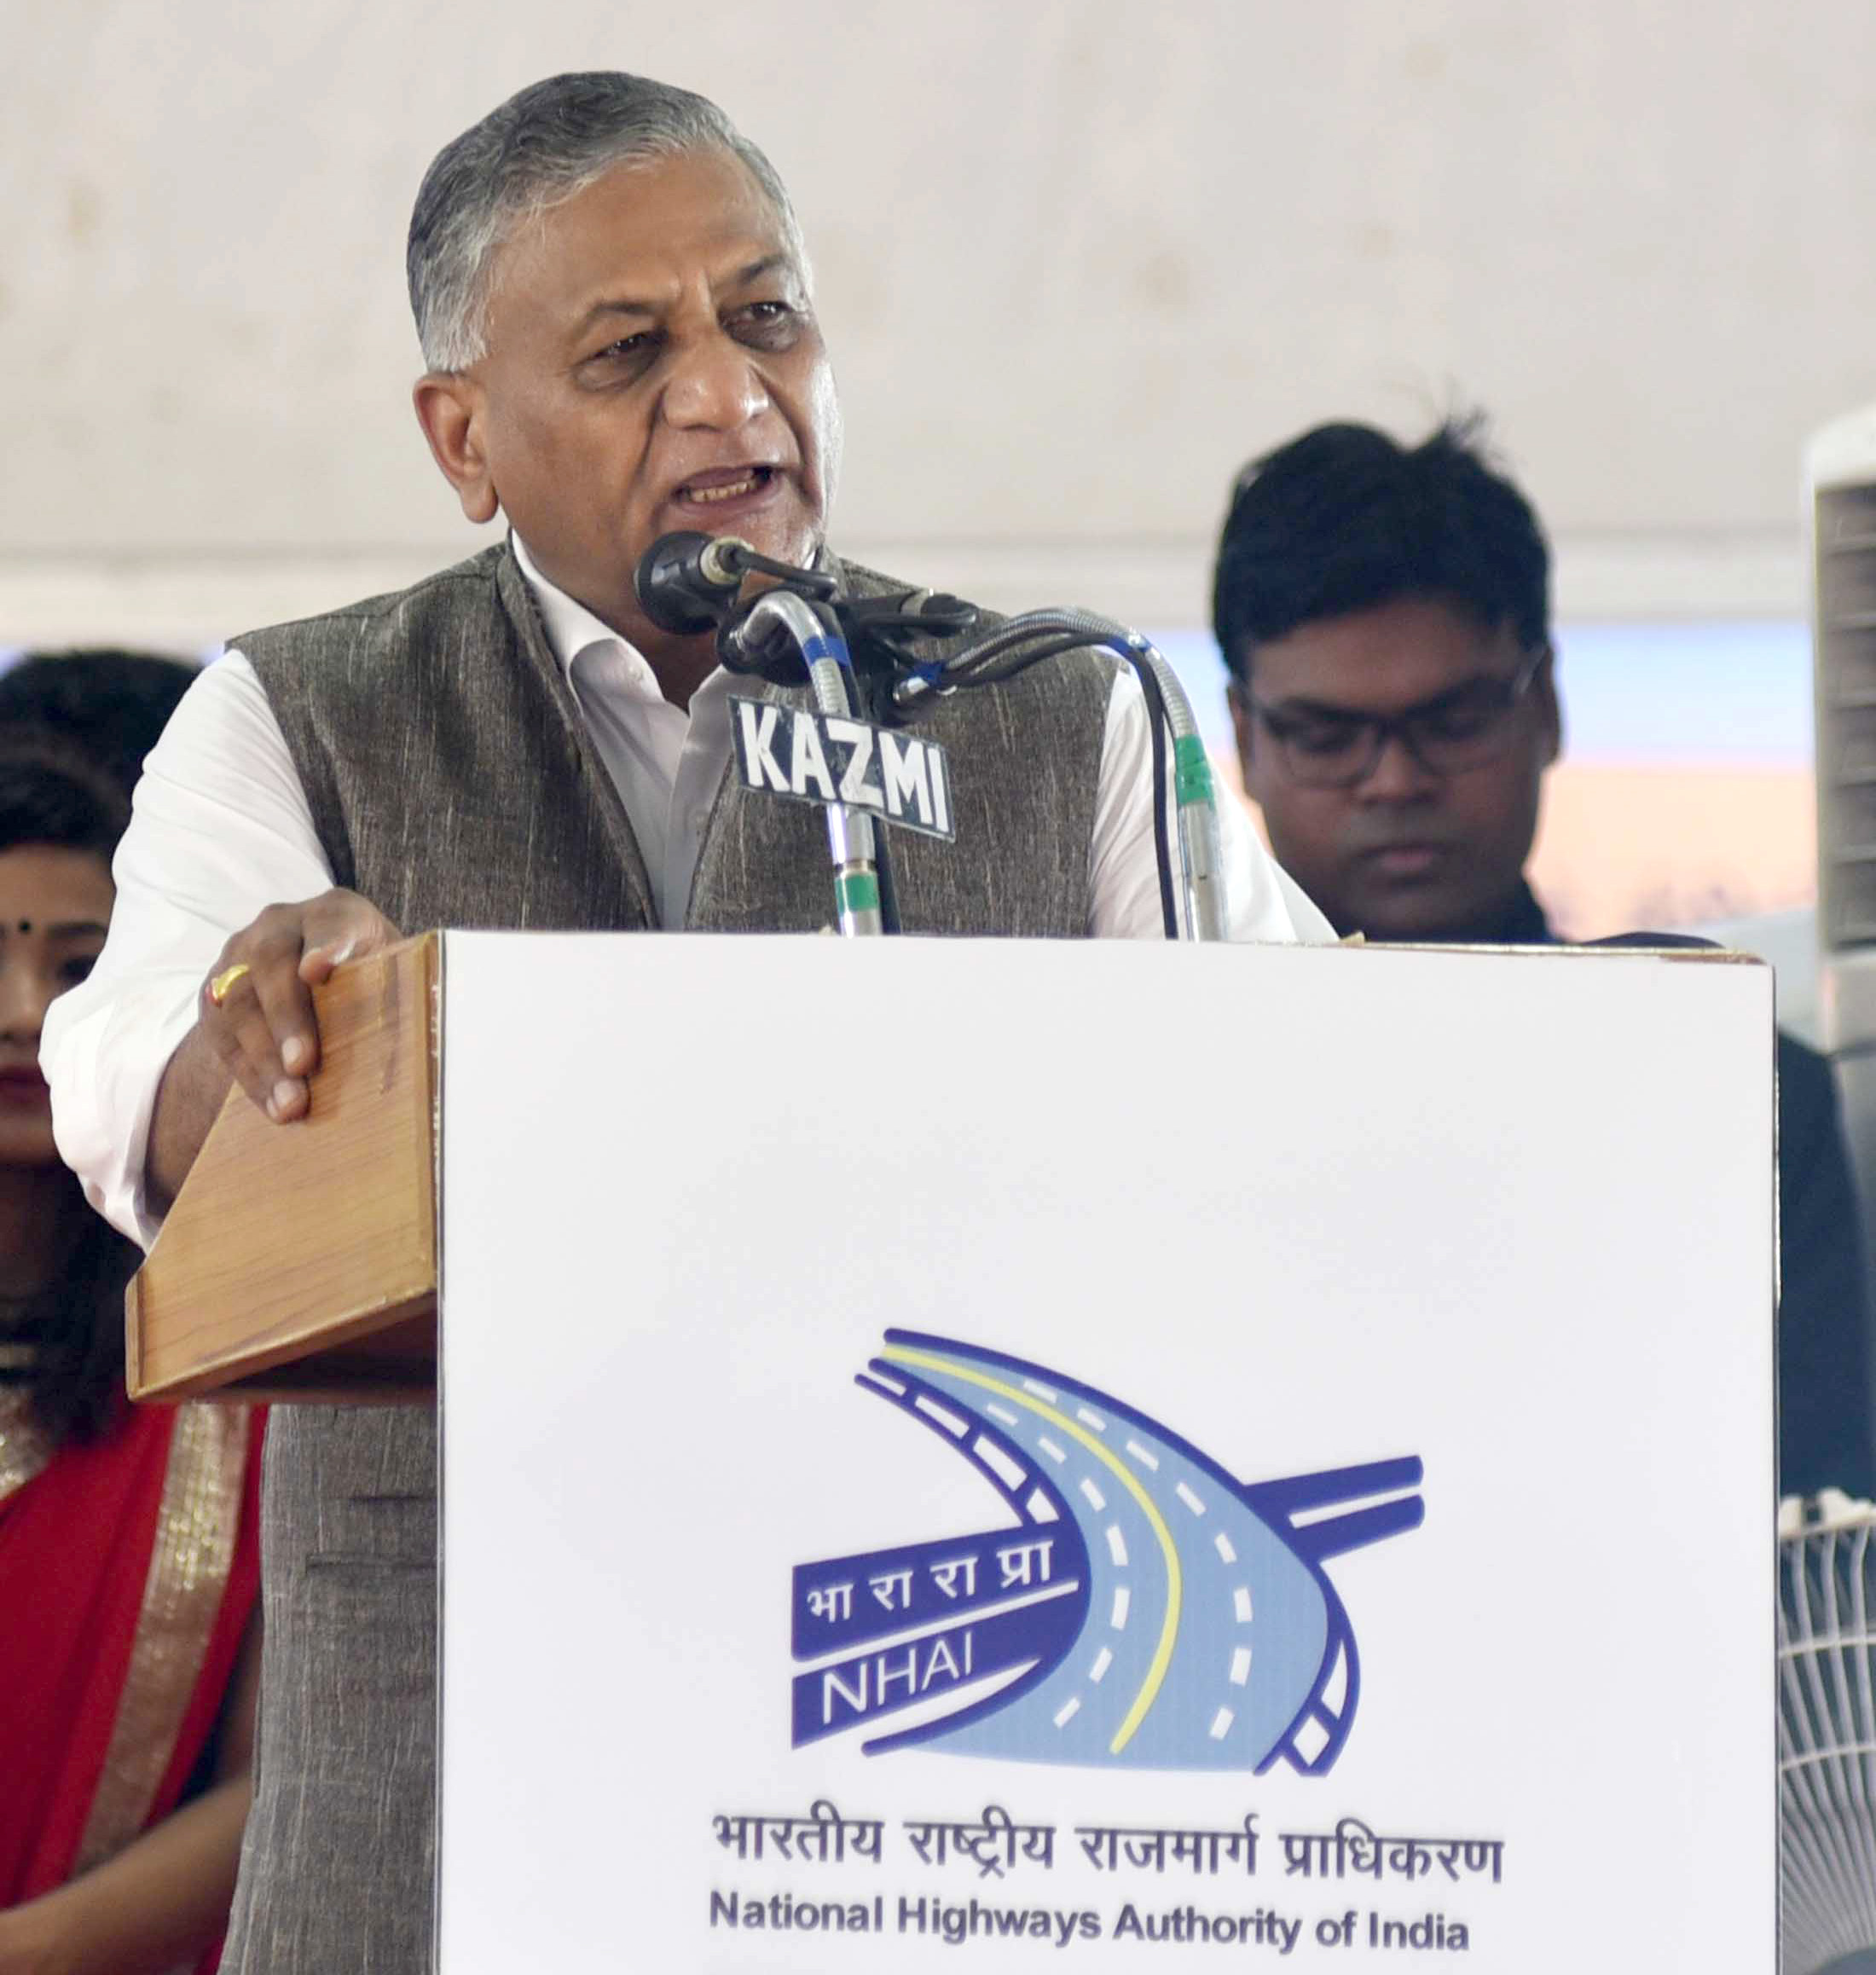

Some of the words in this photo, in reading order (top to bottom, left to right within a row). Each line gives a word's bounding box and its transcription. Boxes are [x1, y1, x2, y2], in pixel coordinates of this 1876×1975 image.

[736, 695, 955, 840] KAZMI
[801, 1578, 856, 1631] भा
[865, 1567, 919, 1616] रा
[922, 1550, 982, 1607] रा
[989, 1534, 1057, 1592] प्रा
[820, 1625, 977, 1729] NHAI
[707, 1791, 889, 1868] भारतीय
[905, 1800, 1059, 1885] राष्ट्रीय
[1076, 1809, 1261, 1882] राजमार्ग
[1278, 1810, 1509, 1886] प्राधिकरण
[707, 1883, 889, 1937] National
[898, 1896, 1109, 1958] Highways
[1103, 1902, 1307, 1956] Authority
[1315, 1908, 1360, 1953] of
[1367, 1910, 1470, 1958] India